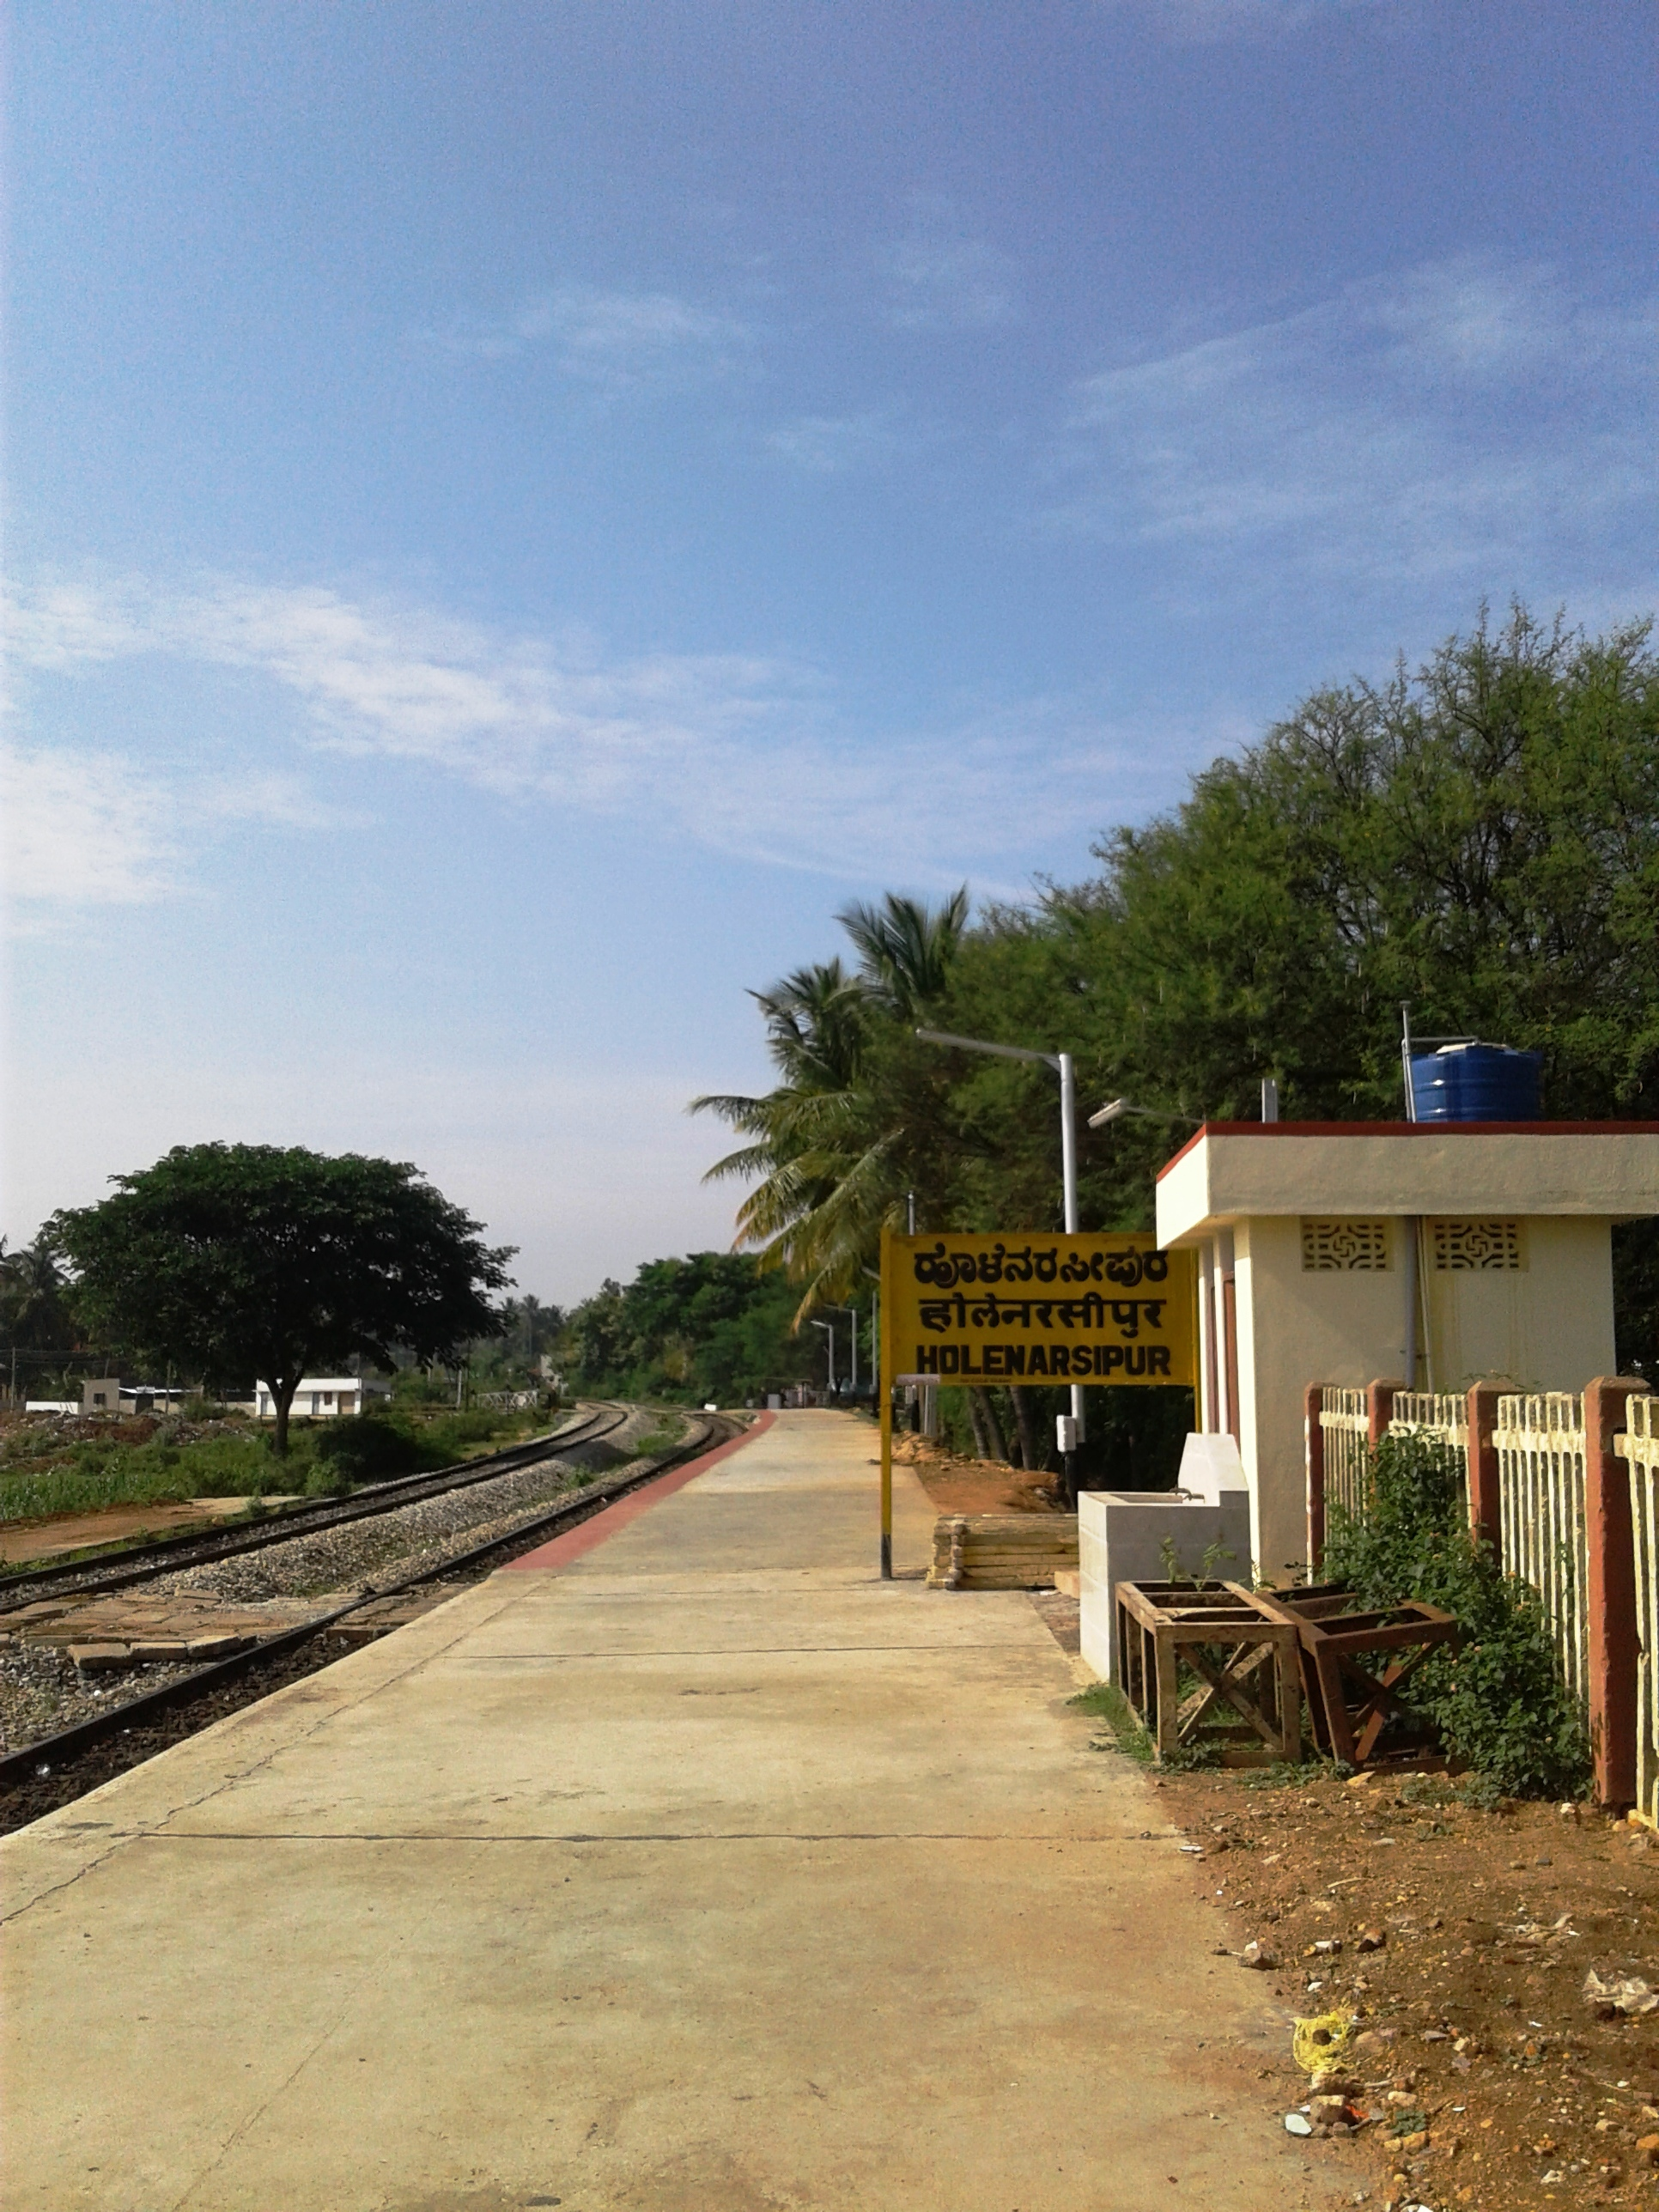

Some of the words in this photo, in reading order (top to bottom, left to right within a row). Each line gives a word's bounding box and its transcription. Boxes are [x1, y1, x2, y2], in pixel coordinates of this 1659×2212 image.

[908, 1233, 1170, 1292] ಪೊಳೆನರಸೀಪುರ
[914, 1285, 1169, 1342] होलेनरसीपुर
[913, 1338, 1176, 1382] HOLENARSIPUR